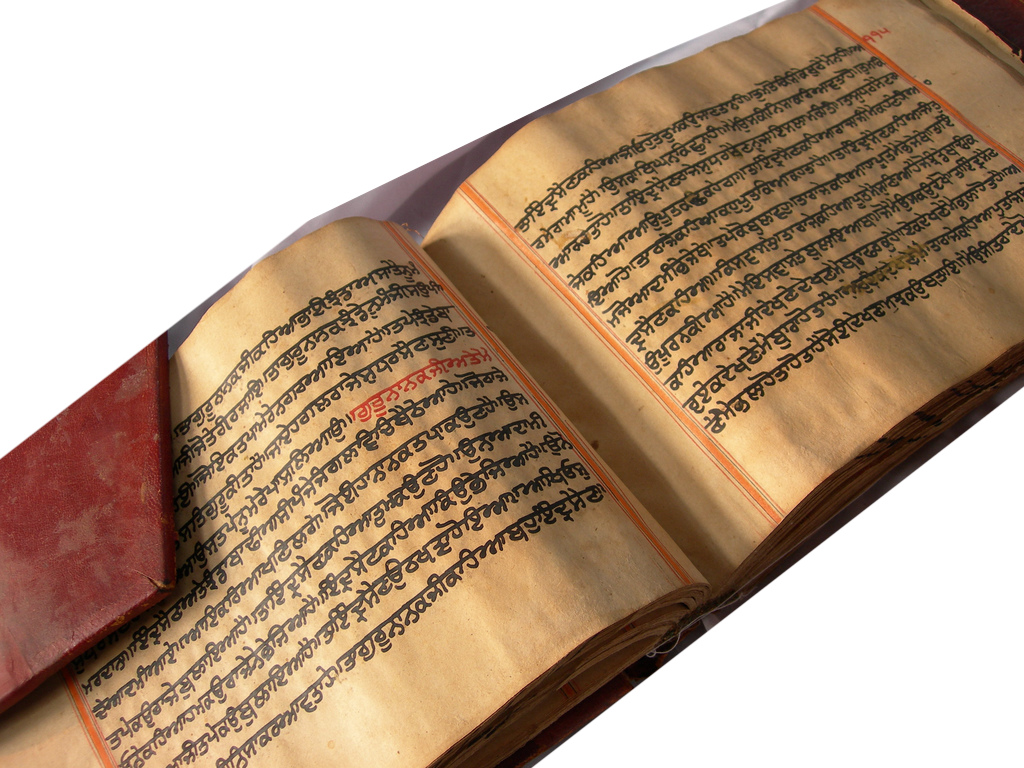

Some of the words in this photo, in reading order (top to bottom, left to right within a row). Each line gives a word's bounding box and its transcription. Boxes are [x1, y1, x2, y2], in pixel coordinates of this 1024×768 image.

[856, 22, 893, 50] 994
[172, 371, 269, 479] ਜੀਜੇਤੇਰੀਰਜਾਇਾ
[175, 449, 269, 545] ਜਤਿਗੁਰੂਕੀਤਾਰੀ
[176, 413, 354, 589] ਆਉਸਤ ਪੇਨੂਮੇਰੇਪਾਸਲਿਆਉਾ
[121, 375, 469, 664] ਇੰਦੂਸੈਟਅਤੇਝੰਡਾਬਾਢੀ ਸੀਪੰਜੇਜੰਗਲਵਿਚਿਬੈਠੇਆਗੇ
[170, 255, 425, 442] ਭਗੁਰੂਨਾਨਕਜੀਕਹਿਆਭਾਈਝੰਡਾਅਸਾਡੈਨੂਮ
[259, 273, 450, 393] ਭਾਗੁਰੂਨਾਨਕਝੰਡੇਨੁਮੰਜੀਸਉਪੀ'
[312, 392, 506, 526] ਜੇਈਹਾਨਾਨਕਤਪਾਕਉਟਹਾੈ
[340, 341, 498, 430] ਗੁਰੂਨਾਨਕਜੀਅਤੇਮੇ
[447, 362, 513, 397] ਜੋਰਾਜੇ
[449, 410, 555, 470] ਉਨੁਆਦਮੀ
[492, 382, 539, 417] ਉਜ
[525, 185, 607, 261] ਰਮੇਰਾਮਾਮੂਹੈ।
[543, 203, 621, 279] ਆਕਚਤਾਹੇ'
[583, 260, 634, 310] ਇਆਹੇਾ
[559, 166, 749, 297] ਜੇਕਹਿਆਆਉਪੂਤਕਛਿਕਹੇਗਾ।
[595, 237, 715, 338] ਮਜੋਆਦਮੀਭੇਜੇਥੇਾ
[621, 268, 719, 359] ਦੁਸੈਣਕਹਿਆ
[639, 208, 885, 379] ਉਪੂਰਨਕੀਆਹੇ ਮੇਇਜਵਾਸਤੇ ਬੁਲਾਇਆਥਾ
[697, 253, 967, 441] ਵੇਮੈਕੁਲਾਹੋਤਾਹੋਤਾਹੈਸੋਈਦੇਖਣਾਮੁਝਕਉਬਤਾਇਾ
[706, 129, 983, 287] ਕਾਸਟਰੀਅਨ
[869, 143, 1008, 226] ਜੇਮੇਉਸਕਉਦੇਖੇਾਤਾਇਦूਸੇੇ
[951, 211, 1023, 269] ਮੈਉਸੀਤਰਾਦੇ
[76, 645, 135, 701] ਮਰਦਾਨਾ
[84, 634, 187, 728] ਦੇਆਦਮੀਆਏ
[101, 608, 254, 758] ਤਪੇਕਉਰਾਜੇਬੁਲਾਇਆਹਾੇ
[173, 507, 327, 653] ਆਇਕਰਿਆਖਣਿਲਗੇਾ
[208, 479, 612, 768] ਨਿਸਾਕਰਆਵਤਾਹੇ॥ਭਾਗੁਰੂਨਾਨਕਜੀਕਹਿਆਬਹੁਇਦੁਸੈਣ॥